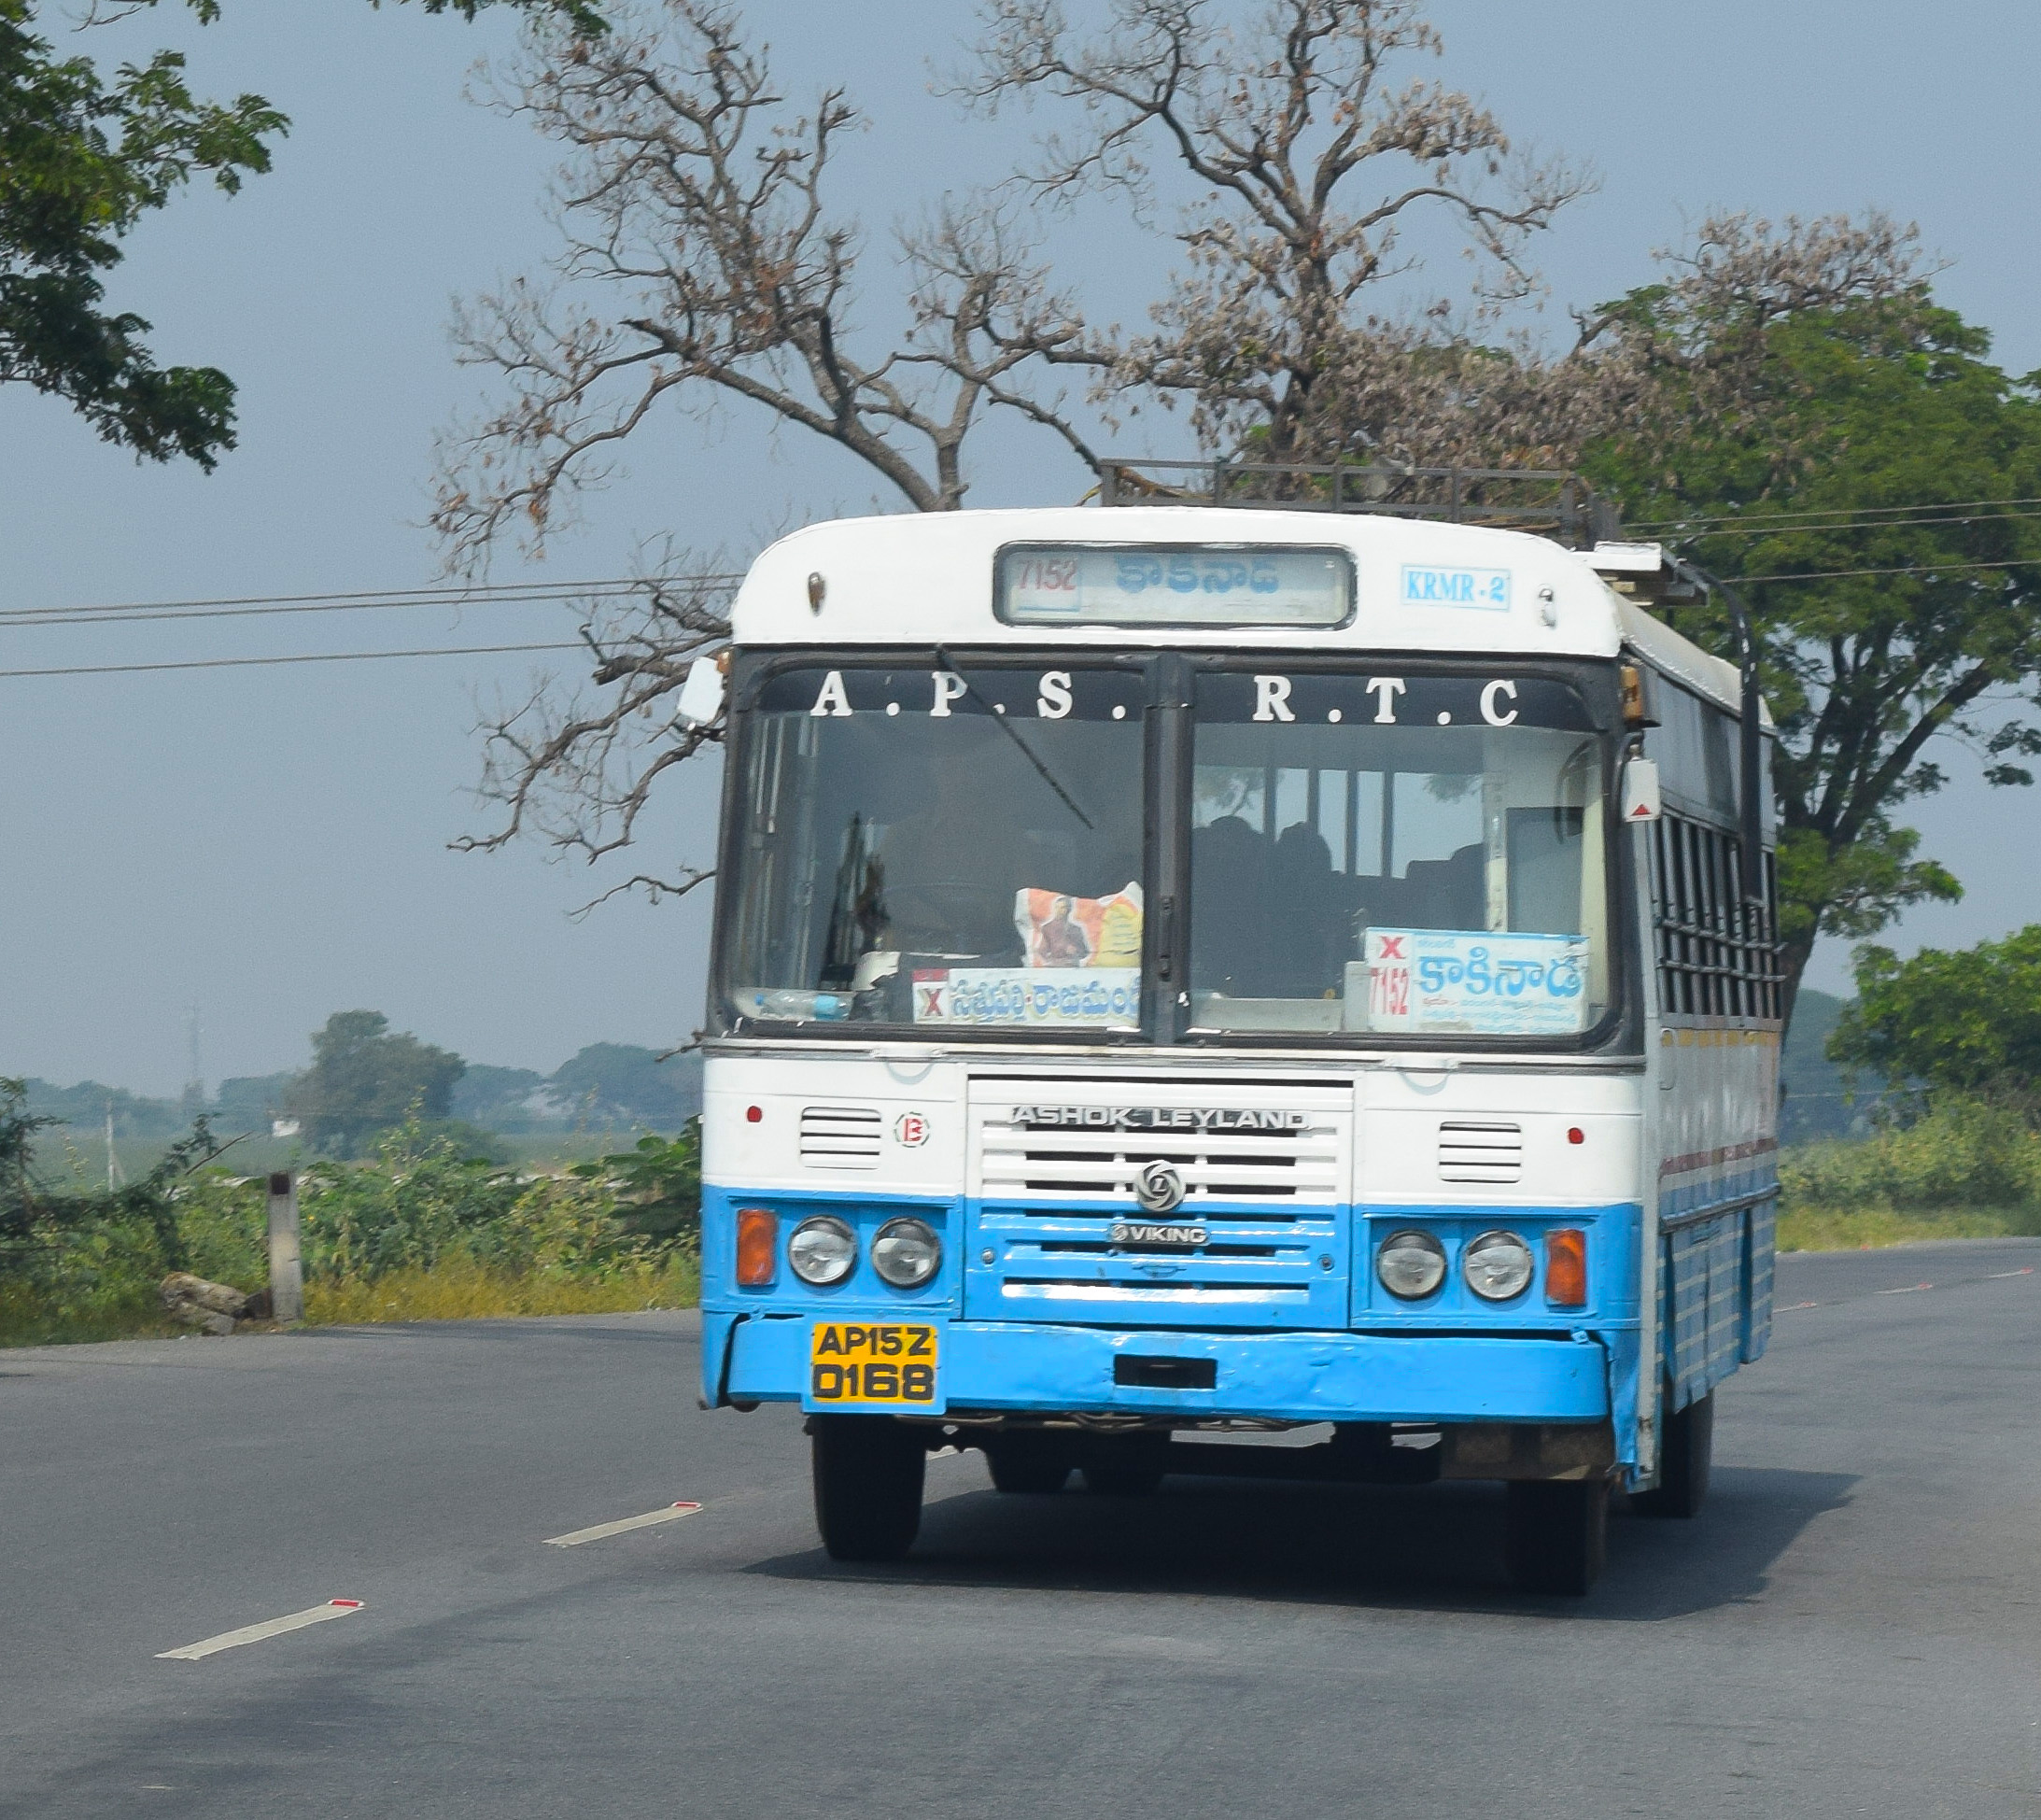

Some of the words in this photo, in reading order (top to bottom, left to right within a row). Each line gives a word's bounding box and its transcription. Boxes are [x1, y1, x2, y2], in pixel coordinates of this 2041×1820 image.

[1113, 546, 1282, 597] కాకనాడ
[1403, 564, 1510, 609] KRMR-2
[1415, 942, 1584, 1001] కాకినాడ
[944, 970, 1031, 1025] సత్తుపల్లి
[1029, 971, 1143, 1023] రాజమం
[1005, 1102, 1137, 1132] ASHOK
[1148, 1102, 1316, 1134] LEYLAND
[1128, 1221, 1206, 1249] VIKING
[812, 1322, 935, 1361] AP15Z
[808, 1361, 936, 1406] 0168